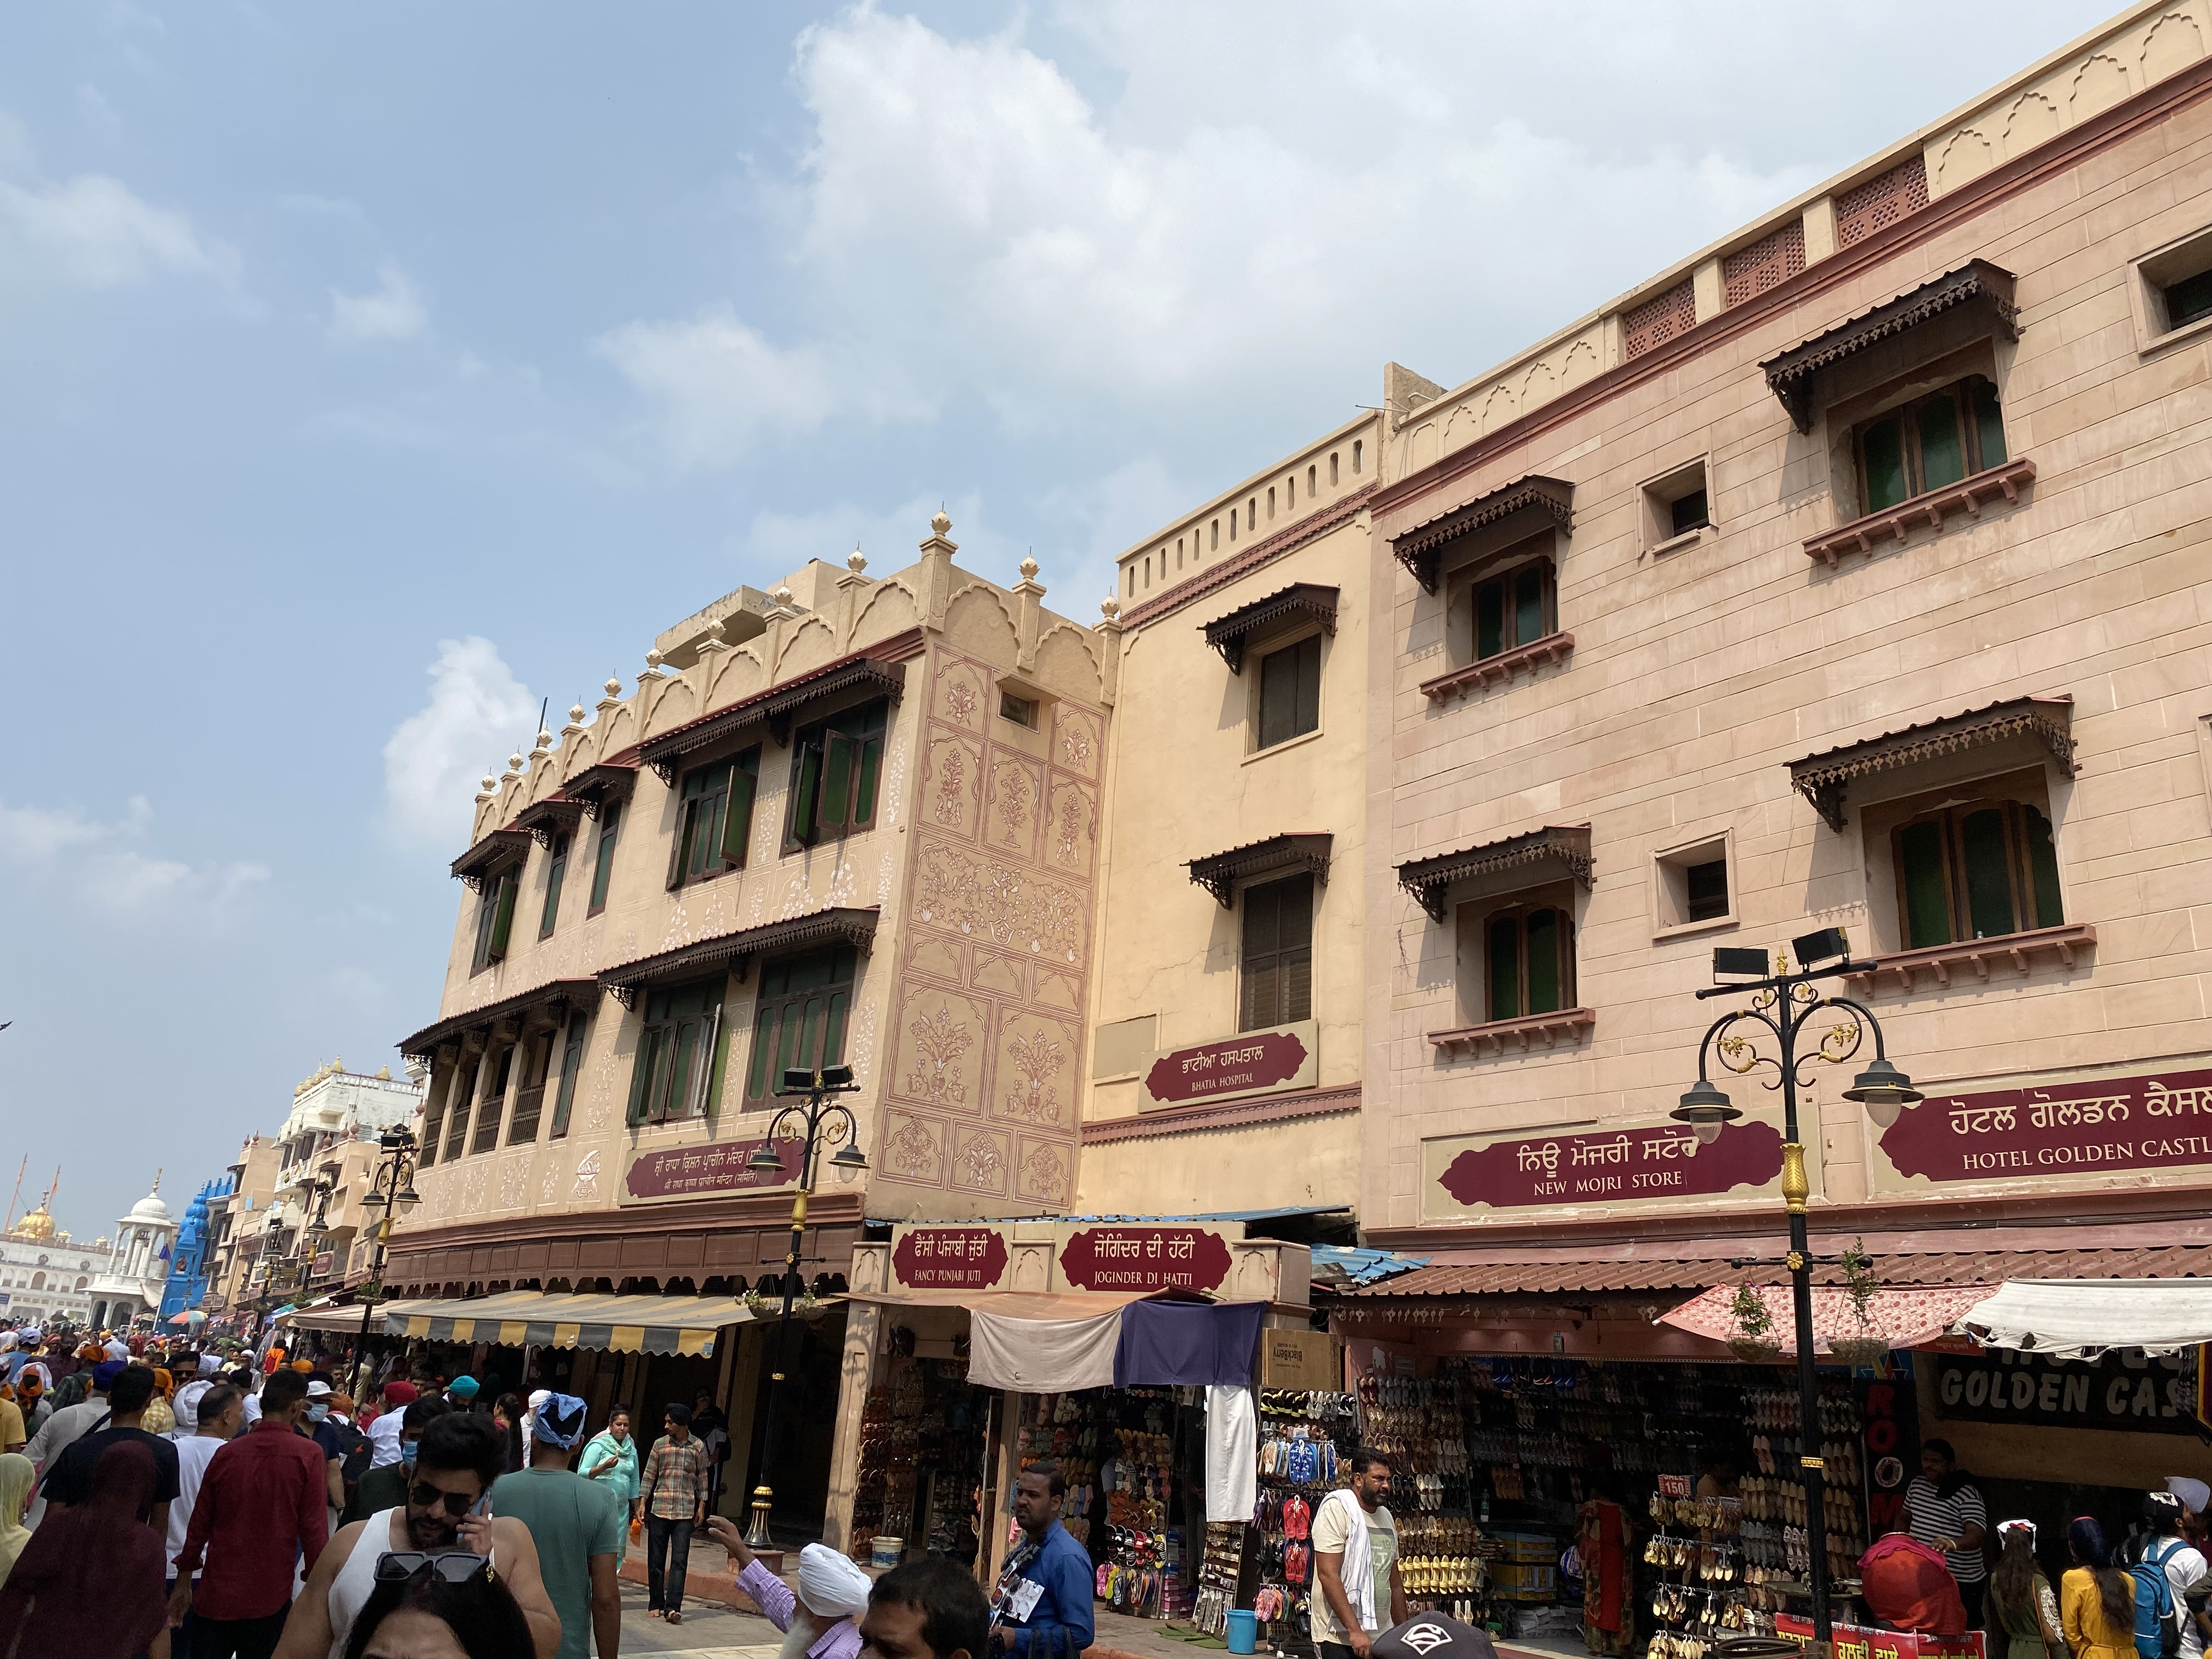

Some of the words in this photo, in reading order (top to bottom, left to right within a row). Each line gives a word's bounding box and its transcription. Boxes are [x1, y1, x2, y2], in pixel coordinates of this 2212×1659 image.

[1180, 1048, 1220, 1076] ਭਾਟੀਆ
[1218, 1042, 1266, 1068] ਹਸਪਤਾਲ
[1189, 1075, 1218, 1094] BHATIA
[1217, 1070, 1257, 1088] HOSPITAL
[2139, 1077, 2203, 1122] ਕੈਸ
[1942, 1096, 2021, 1143] ਹੋਟਲ
[2023, 1089, 2138, 1136] ਗੋਲਡਨ
[652, 1154, 667, 1178] ਸ਼੍ਰੀ
[660, 1176, 673, 1191] श्री
[663, 1153, 682, 1173] ਰਾਧਾ
[672, 1177, 685, 1190] राधा
[684, 1176, 698, 1192] कृष्‍ण
[681, 1151, 703, 1176] ਕ੍ਰਿਸ਼ਨ
[697, 1173, 716, 1188] प्राचीन
[701, 1146, 726, 1172] ਪूਾਚੀਨ
[716, 1170, 736, 1187] मन्दिर
[725, 1145, 746, 1166] ਮੰਦਰ
[736, 1168, 755, 1186] समिति
[1513, 1138, 1565, 1181] ਨਿਊ
[1530, 1178, 1570, 1199] NEW
[1572, 1172, 1624, 1197] MOJRI
[1566, 1131, 1636, 1171] ਮੋਜਰੀ
[1628, 1167, 1687, 1190] STORE
[1637, 1126, 1702, 1165] ਸਟੋਰ
[1957, 1144, 2037, 1173] HOTEL
[2035, 1139, 2136, 1167] GOLDEN
[2138, 1133, 2210, 1161] CASTL
[911, 1231, 937, 1261] ਫੈਂਸੀ
[935, 1230, 969, 1261] ਪੰਜਾਬੀ
[965, 1230, 991, 1263] ਜੁੱਤੀ
[1088, 1229, 1143, 1263] ਜੋਗਿੰਦਰ
[1143, 1232, 1166, 1260] ਦੀ
[1164, 1229, 1199, 1262] ਹੱਟੀ
[911, 1267, 938, 1283] FANCY
[936, 1267, 966, 1284] PUNJABI
[964, 1268, 985, 1284] JUTI
[1091, 1268, 1145, 1289] JOGINDER
[1144, 1268, 1160, 1286] DI
[1160, 1268, 1198, 1286] HATTI
[1270, 1345, 1305, 1362] BlackBerry
[1938, 1366, 2093, 1421] GOLDEN
[2101, 1372, 2161, 1423] CA